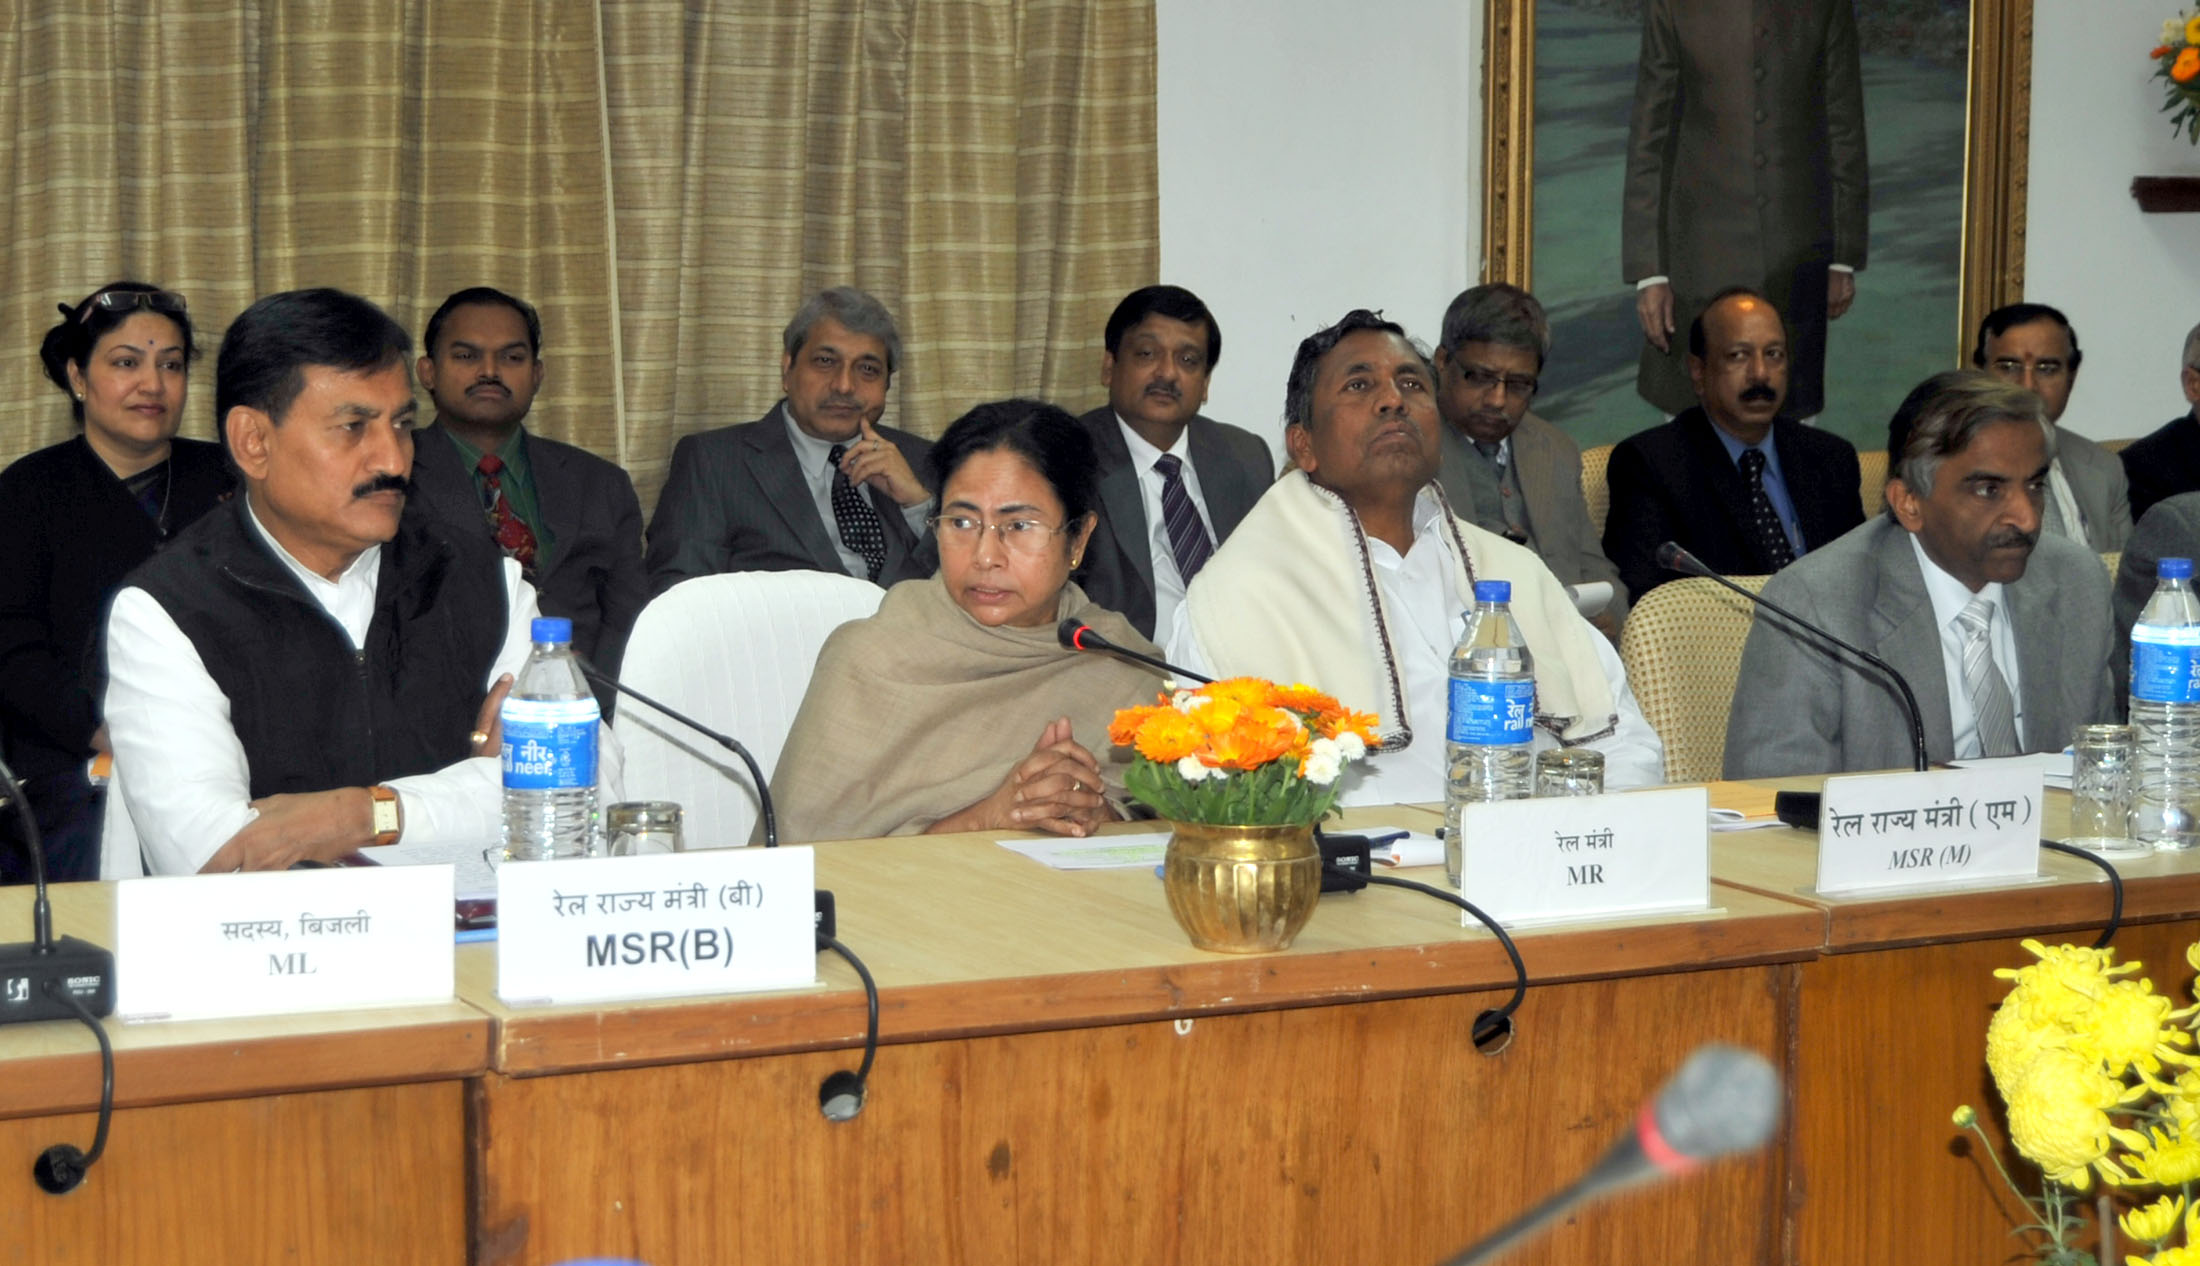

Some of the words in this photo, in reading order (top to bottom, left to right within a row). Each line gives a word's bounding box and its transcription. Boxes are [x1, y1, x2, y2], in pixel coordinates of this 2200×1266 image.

[1549, 825, 1585, 859] रेल
[1559, 858, 1609, 891] MR
[1583, 826, 1616, 851] मंत्री
[1823, 801, 1866, 845] रेल
[1866, 804, 1921, 841] राज्य
[1881, 843, 1975, 875] MSR(M)
[1921, 793, 1965, 835] मंत्री
[1975, 791, 2028, 836] एम
[219, 917, 287, 946] सदस्य
[292, 905, 373, 939] बिजली
[543, 886, 591, 924] रेल
[595, 889, 659, 923] राज्य
[657, 881, 710, 917] मंत्री
[715, 876, 768, 915] (बी)
[264, 949, 319, 981] ML
[583, 926, 737, 975] MSR(B)